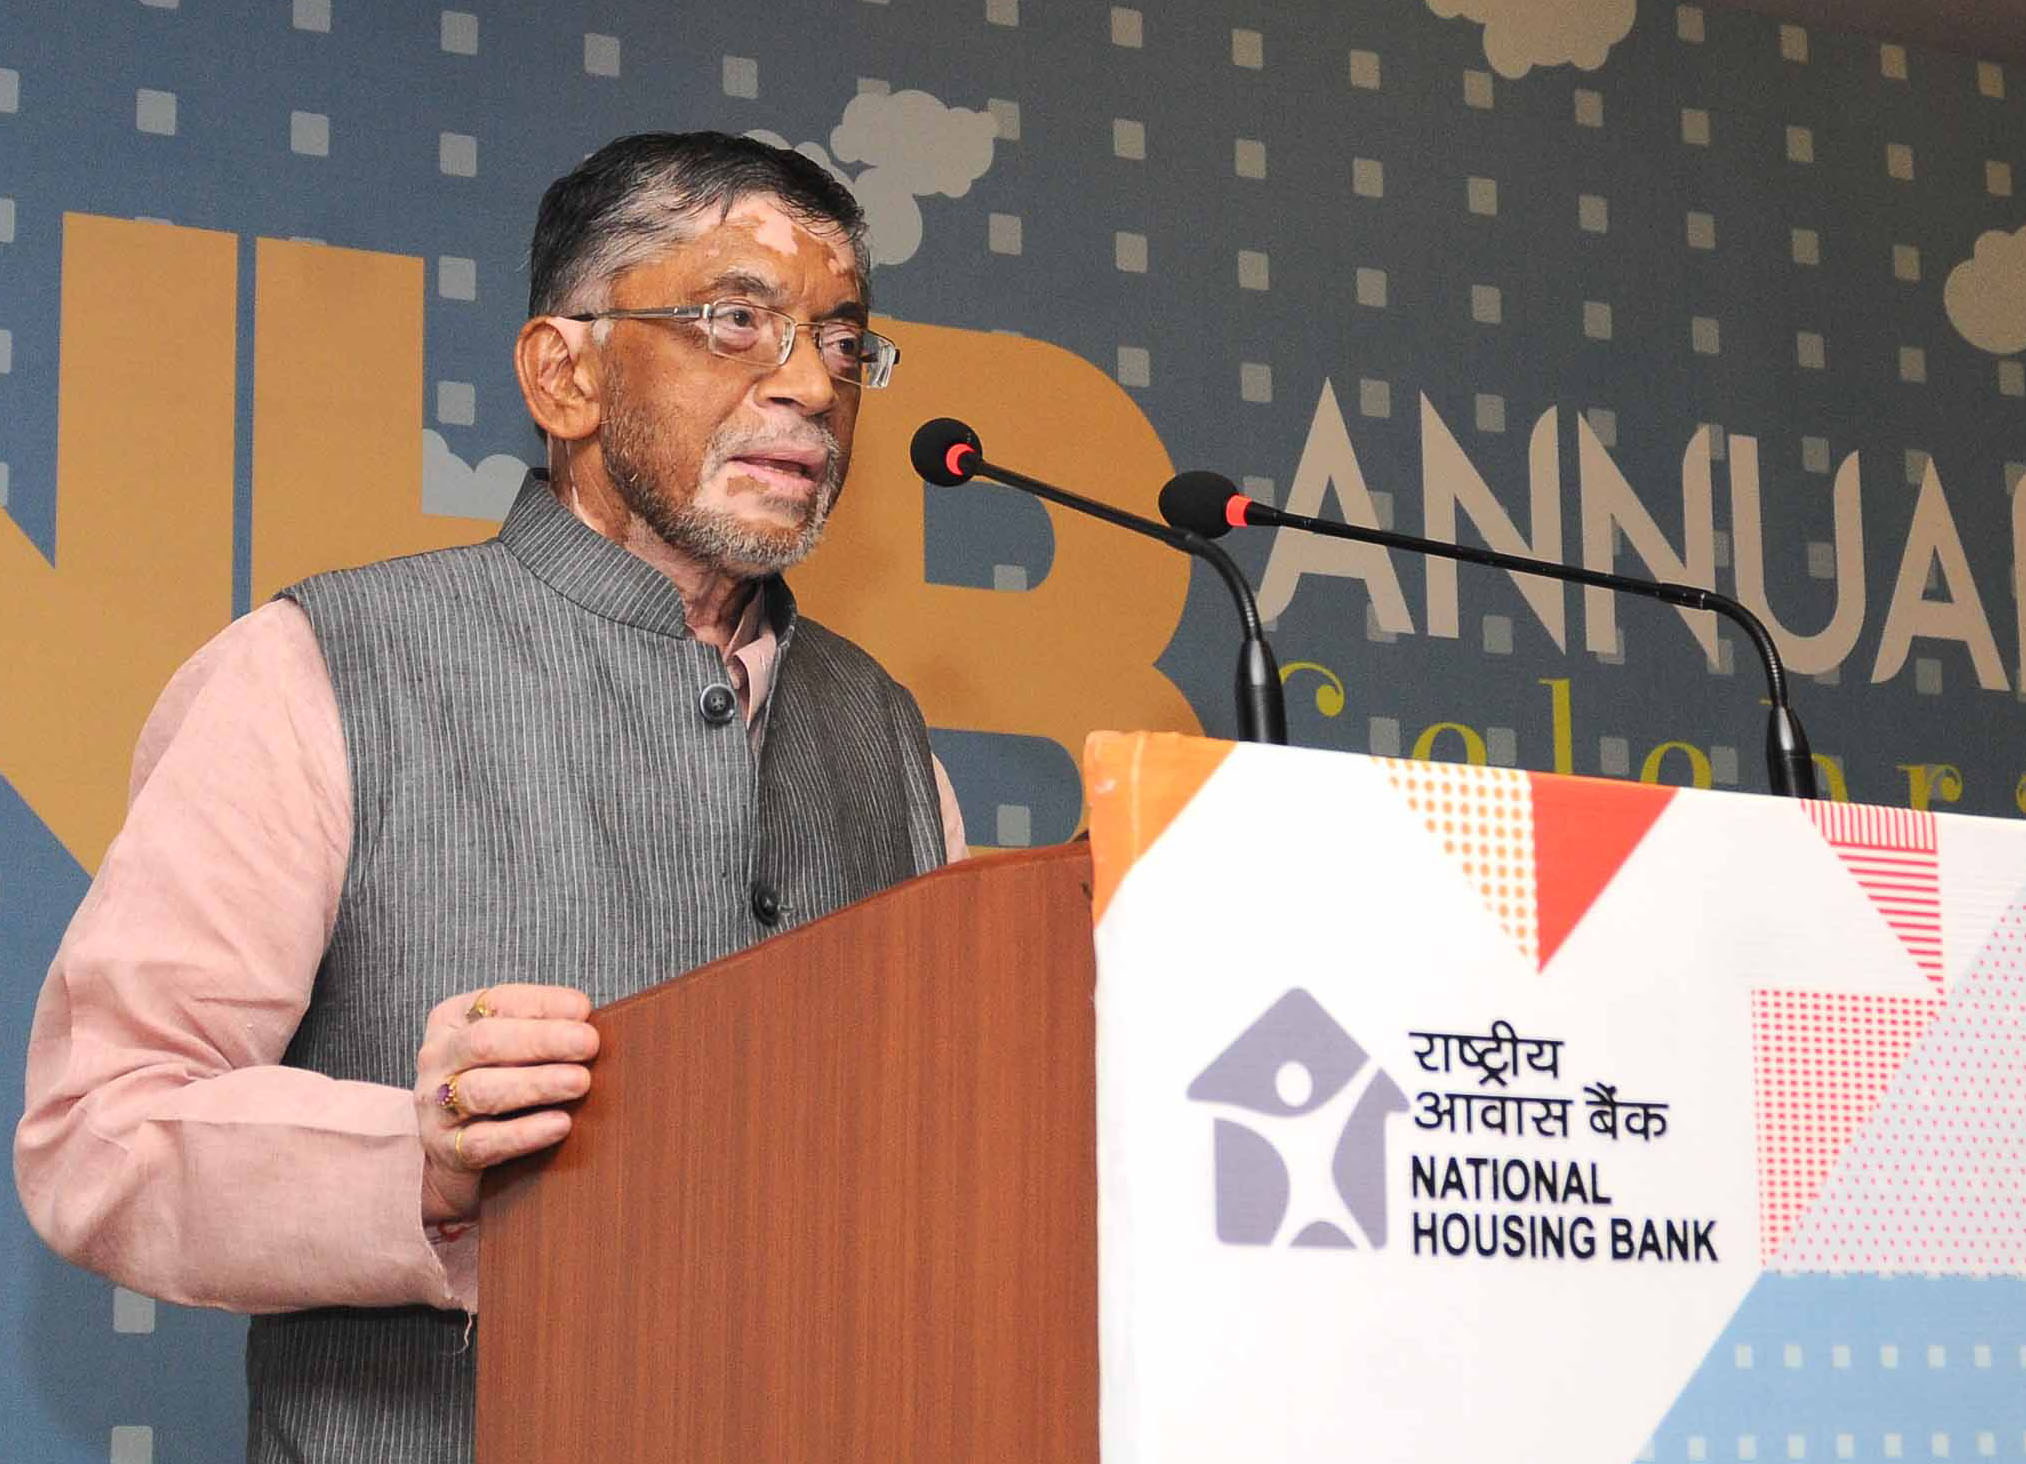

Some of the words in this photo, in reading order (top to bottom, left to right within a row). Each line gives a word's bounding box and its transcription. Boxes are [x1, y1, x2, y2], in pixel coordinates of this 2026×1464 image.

[1238, 370, 2020, 704] ANNUA
[1405, 1014, 1568, 1091] राष्ट्रीय
[1410, 1089, 1576, 1138] आवास
[1582, 1077, 1672, 1148] बैंक
[1411, 1152, 1615, 1207] NATIONAL
[1409, 1210, 1597, 1262] HOUSING
[1607, 1214, 1722, 1267] BANK